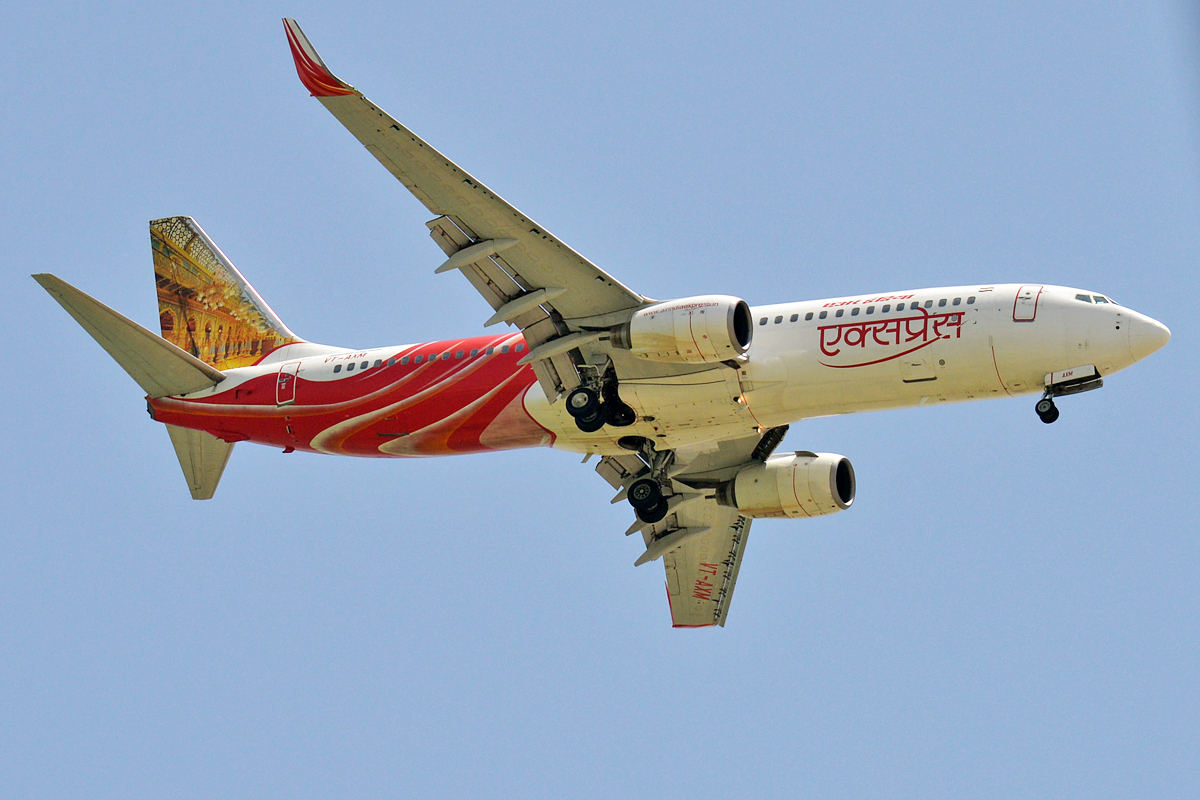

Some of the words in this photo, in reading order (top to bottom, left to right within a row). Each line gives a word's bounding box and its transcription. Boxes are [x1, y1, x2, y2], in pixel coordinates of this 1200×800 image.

[817, 295, 865, 313] एअर
[859, 288, 923, 311] इंडिया
[814, 300, 967, 361] एक्सप्रेस